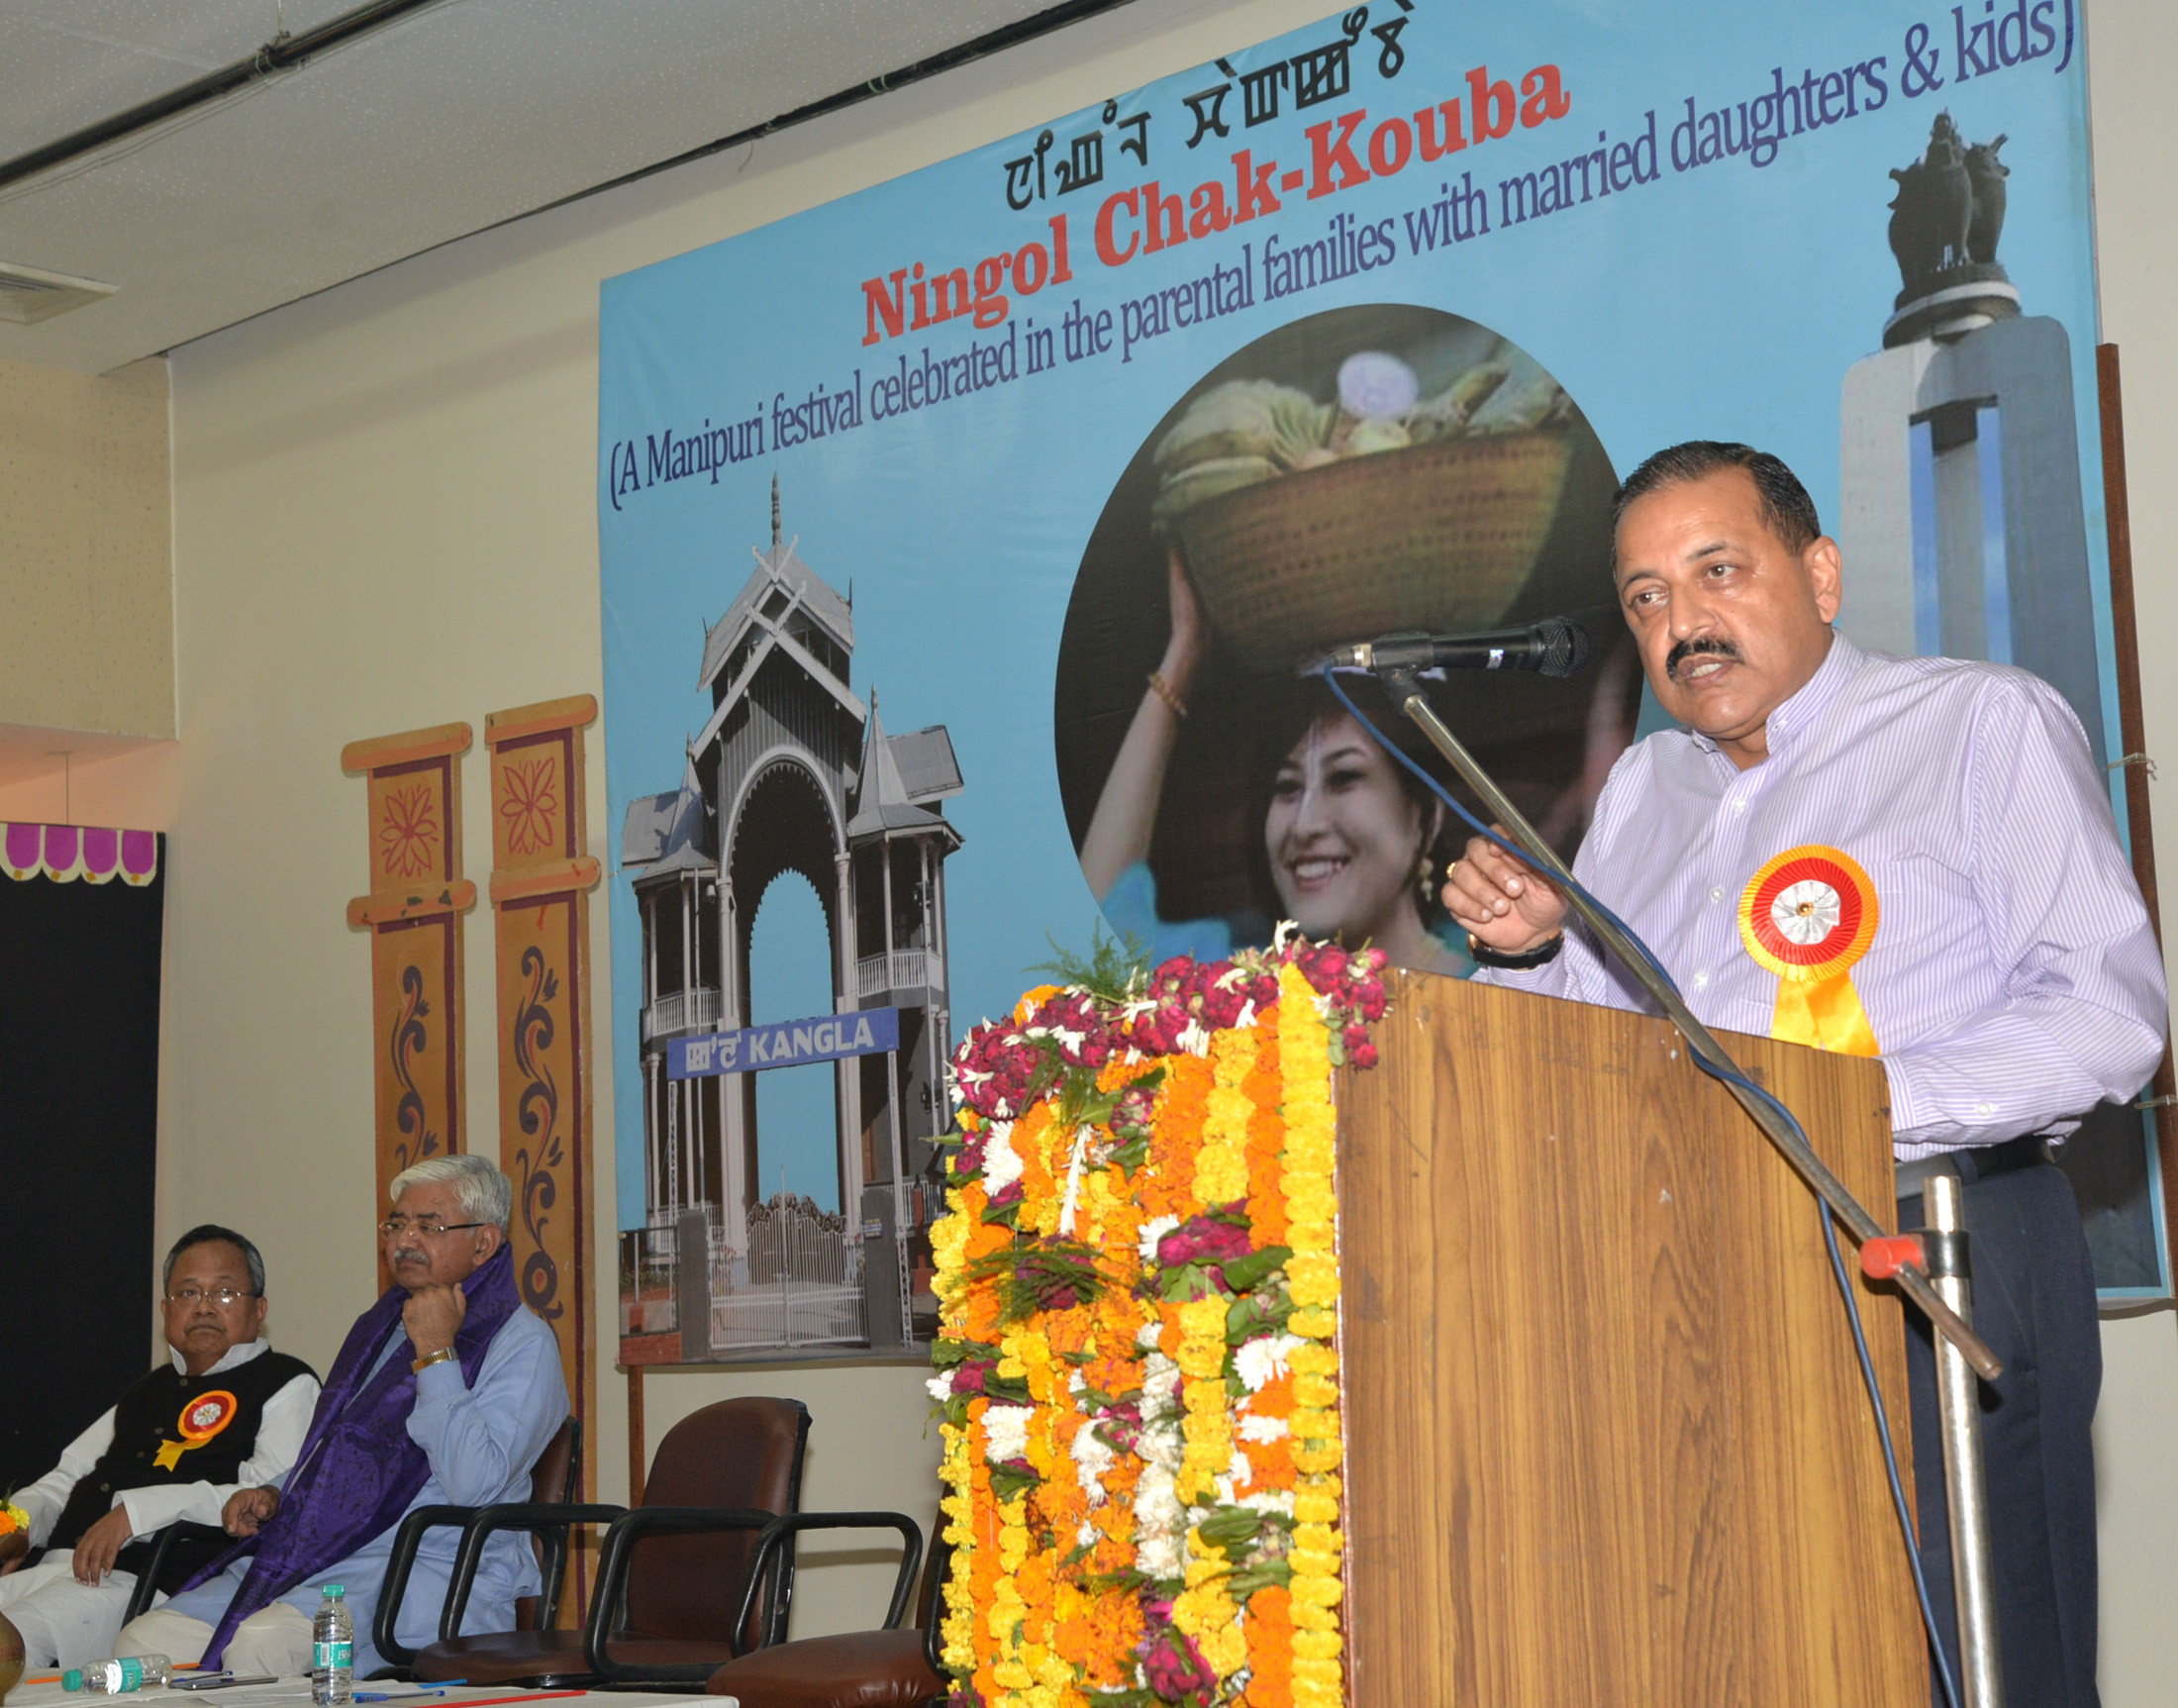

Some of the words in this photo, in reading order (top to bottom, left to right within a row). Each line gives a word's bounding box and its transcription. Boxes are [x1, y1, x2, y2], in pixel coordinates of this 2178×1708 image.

[608, 435, 645, 500] A
[637, 387, 778, 497] Manipuri
[760, 366, 868, 460] festival
[855, 316, 1025, 431] celebrated
[850, 214, 1080, 351] Ningol
[1010, 312, 1063, 380] in
[994, 82, 1161, 222] ꯅꯤꯉꯦꯜ
[1048, 302, 1114, 366] the
[1084, 136, 1286, 279] Chak
[1110, 237, 1262, 372] parental
[1170, 0, 1420, 162] ꯆꯥꯛꯀꯧꯕ
[1254, 202, 1398, 299] families
[1303, 49, 1577, 206] Kouba
[1398, 169, 1491, 257] with
[1490, 110, 1666, 236] married
[1670, 42, 1890, 183] daughters
[1880, 16, 1952, 116] &
[1949, 0, 2067, 86] kids
[674, 1021, 756, 1081] ꯀꯪꯂꯥ
[744, 1013, 884, 1071] KANGLA